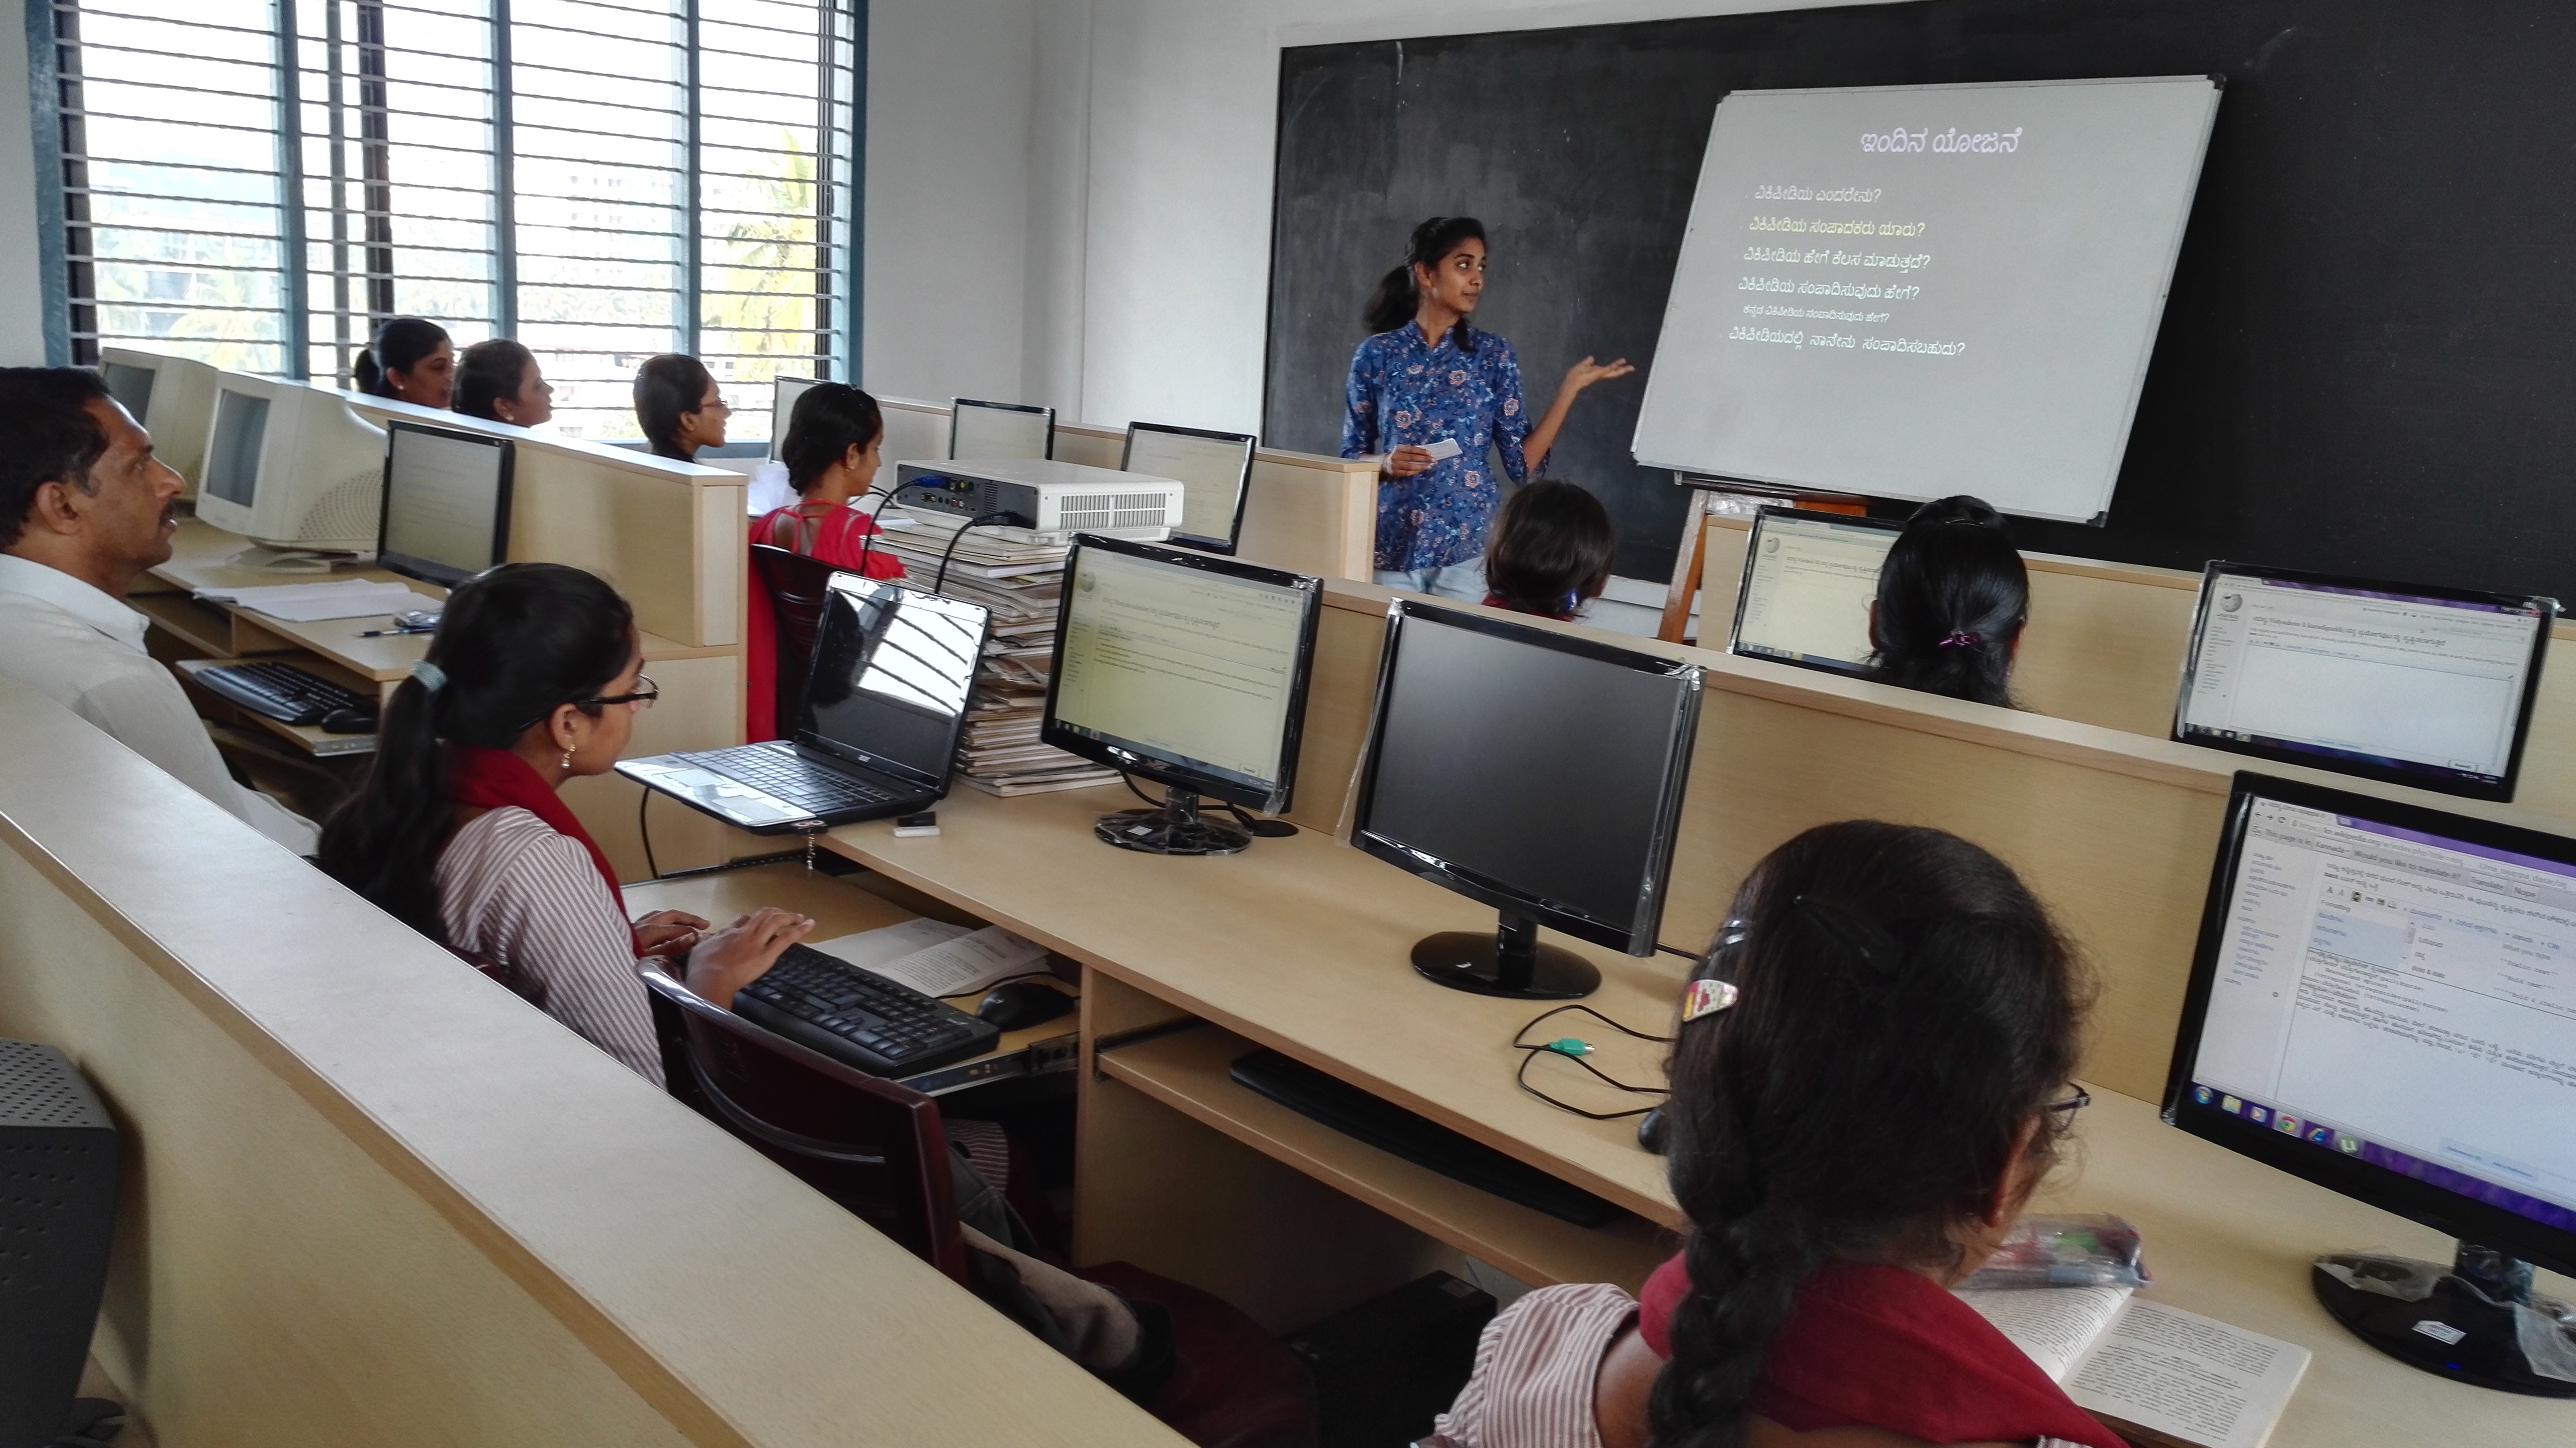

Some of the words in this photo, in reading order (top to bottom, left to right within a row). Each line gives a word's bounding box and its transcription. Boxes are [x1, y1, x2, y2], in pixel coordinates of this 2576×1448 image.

[1859, 122, 1930, 154] ಇಂದಿನ
[1929, 123, 2023, 156] ಯೋಜನ
[1749, 182, 1816, 203] ವಿಕಿಪೀಡಿಯ
[1810, 185, 1882, 204] ಎಂದರೇನು?
[1746, 212, 1810, 235] ವಿಕಿಪೀಡಿಯ
[1808, 216, 1879, 237] ಸಂಪಾದಕರು
[1873, 216, 1927, 239] ಯಾರು?
[1739, 241, 1804, 265] ವಿಕಿಪೀಡಿಯ
[1803, 246, 1830, 266] ಹೇಗ
[1831, 244, 1863, 268] ಕೆಲಸ
[1860, 249, 1933, 274] ಮಾಡುತ್ತದೆ?
[1735, 274, 1798, 294] ವಿಕಿಪೀಡಿಯ
[1794, 276, 1885, 300] ಸಂಪಾದಿಸುವುದು
[1883, 280, 1922, 301] ಹೇಗೆ?
[1741, 301, 1766, 318] ಕನ್ನಡೆ
[1762, 301, 1807, 321] ವಿಕಿಪೀಡಿಯ
[1801, 305, 1865, 323] ಸಂಪಾದಿಸುವುದು
[1861, 308, 1892, 324] ಹೇಗೆ?
[1725, 322, 1807, 352] ವಿಕಿಪೀಡಿಯದಲ್ಲಿ
[1807, 331, 1857, 350] ನಾನೇನು
[1860, 334, 1967, 356] ಸಂಪಾದಿಸಬಹುದು?